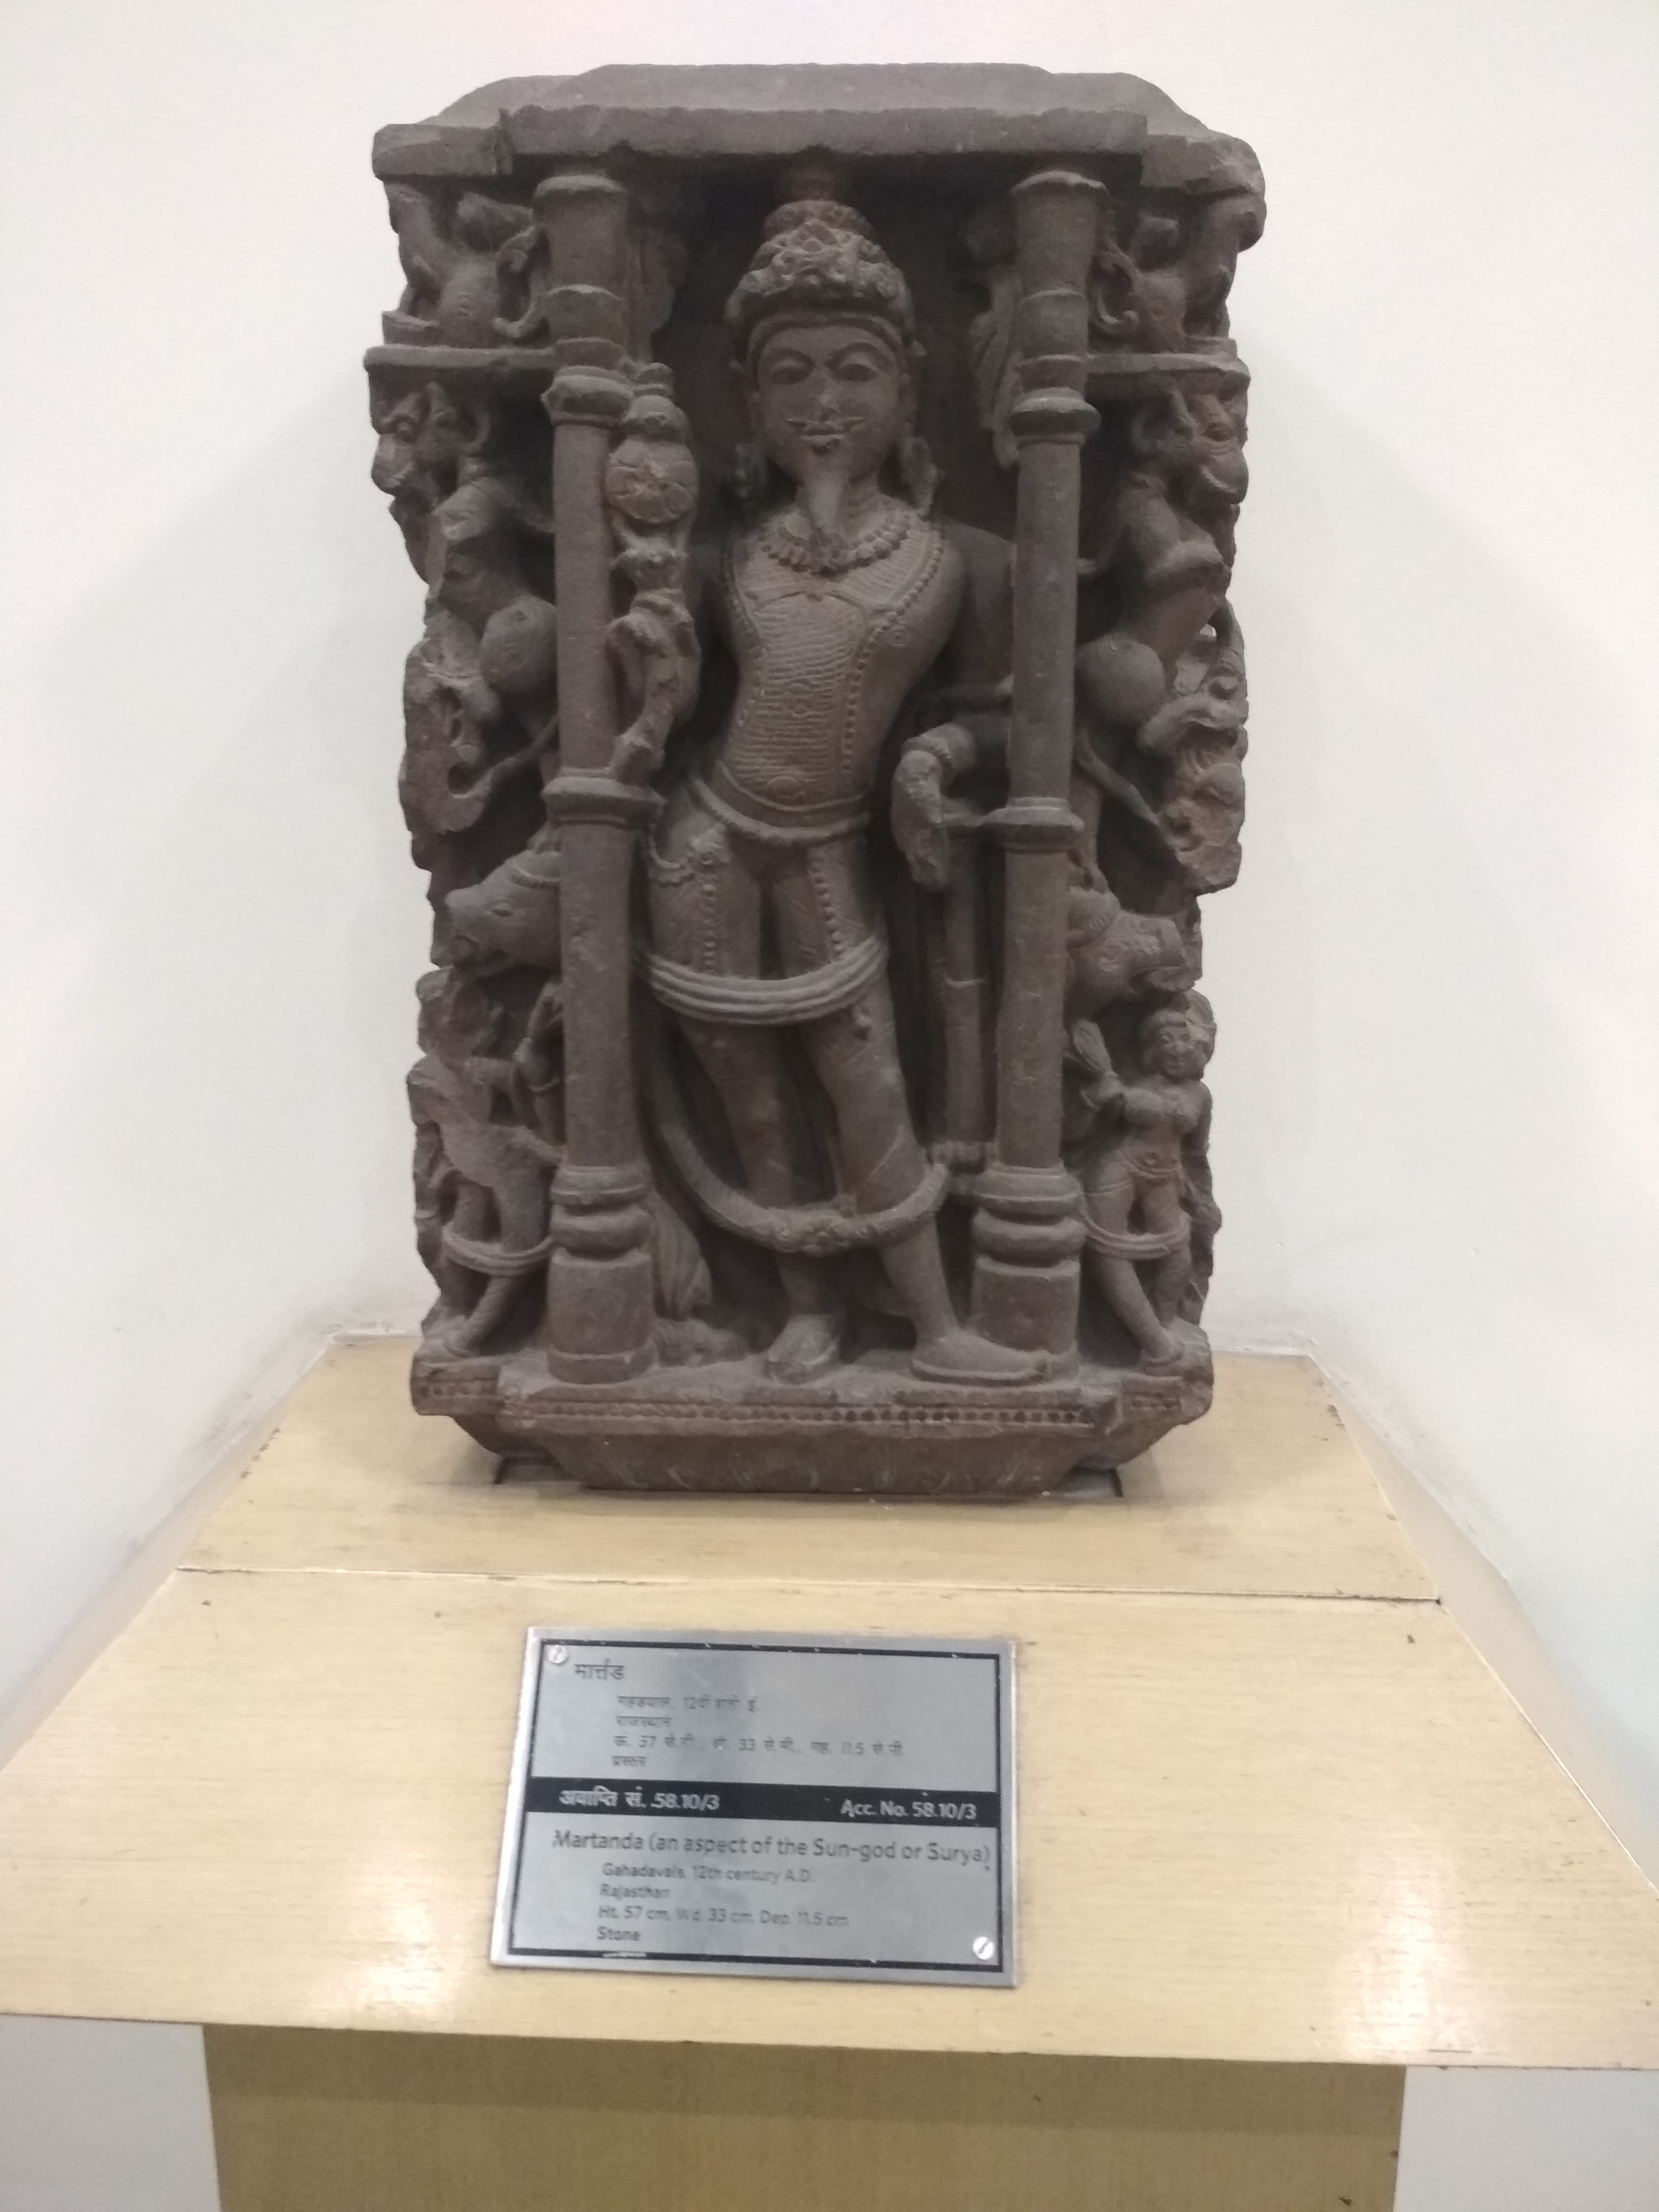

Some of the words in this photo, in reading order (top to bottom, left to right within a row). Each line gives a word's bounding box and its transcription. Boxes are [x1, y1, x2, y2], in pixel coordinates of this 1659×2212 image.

[570, 1657, 627, 1689] मार्त्तड
[674, 1691, 711, 1716] 12 वी
[610, 1712, 675, 1733] राजस्थान
[636, 1732, 665, 1754] 37
[759, 1731, 799, 1757] से मी
[868, 1736, 904, 1761] से मी
[557, 1782, 619, 1809] अवाप्‍ति
[622, 1781, 720, 1814] सं. 58.10/3
[837, 1795, 978, 1823] Acc.No.58.10/3
[549, 1828, 646, 1850] Martanda
[652, 1833, 681, 1857] an
[677, 1836, 751, 1859] aspect
[748, 1830, 775, 1860] of
[770, 1834, 812, 1861] the
[812, 1837, 851, 1862] Sun
[855, 1838, 899, 1866] god
[898, 1843, 923, 1863] or
[924, 1839, 984, 1873] Surya
[597, 1883, 677, 1901] Rajasthan
[688, 1861, 727, 1884] 12th
[722, 1869, 784, 1890] century
[780, 1864, 815, 1891] AD
[618, 1900, 669, 1926] 57cm
[700, 1903, 755, 1927] 33cm
[753, 1908, 794, 1930] Dep.
[591, 1924, 642, 1945] Stone